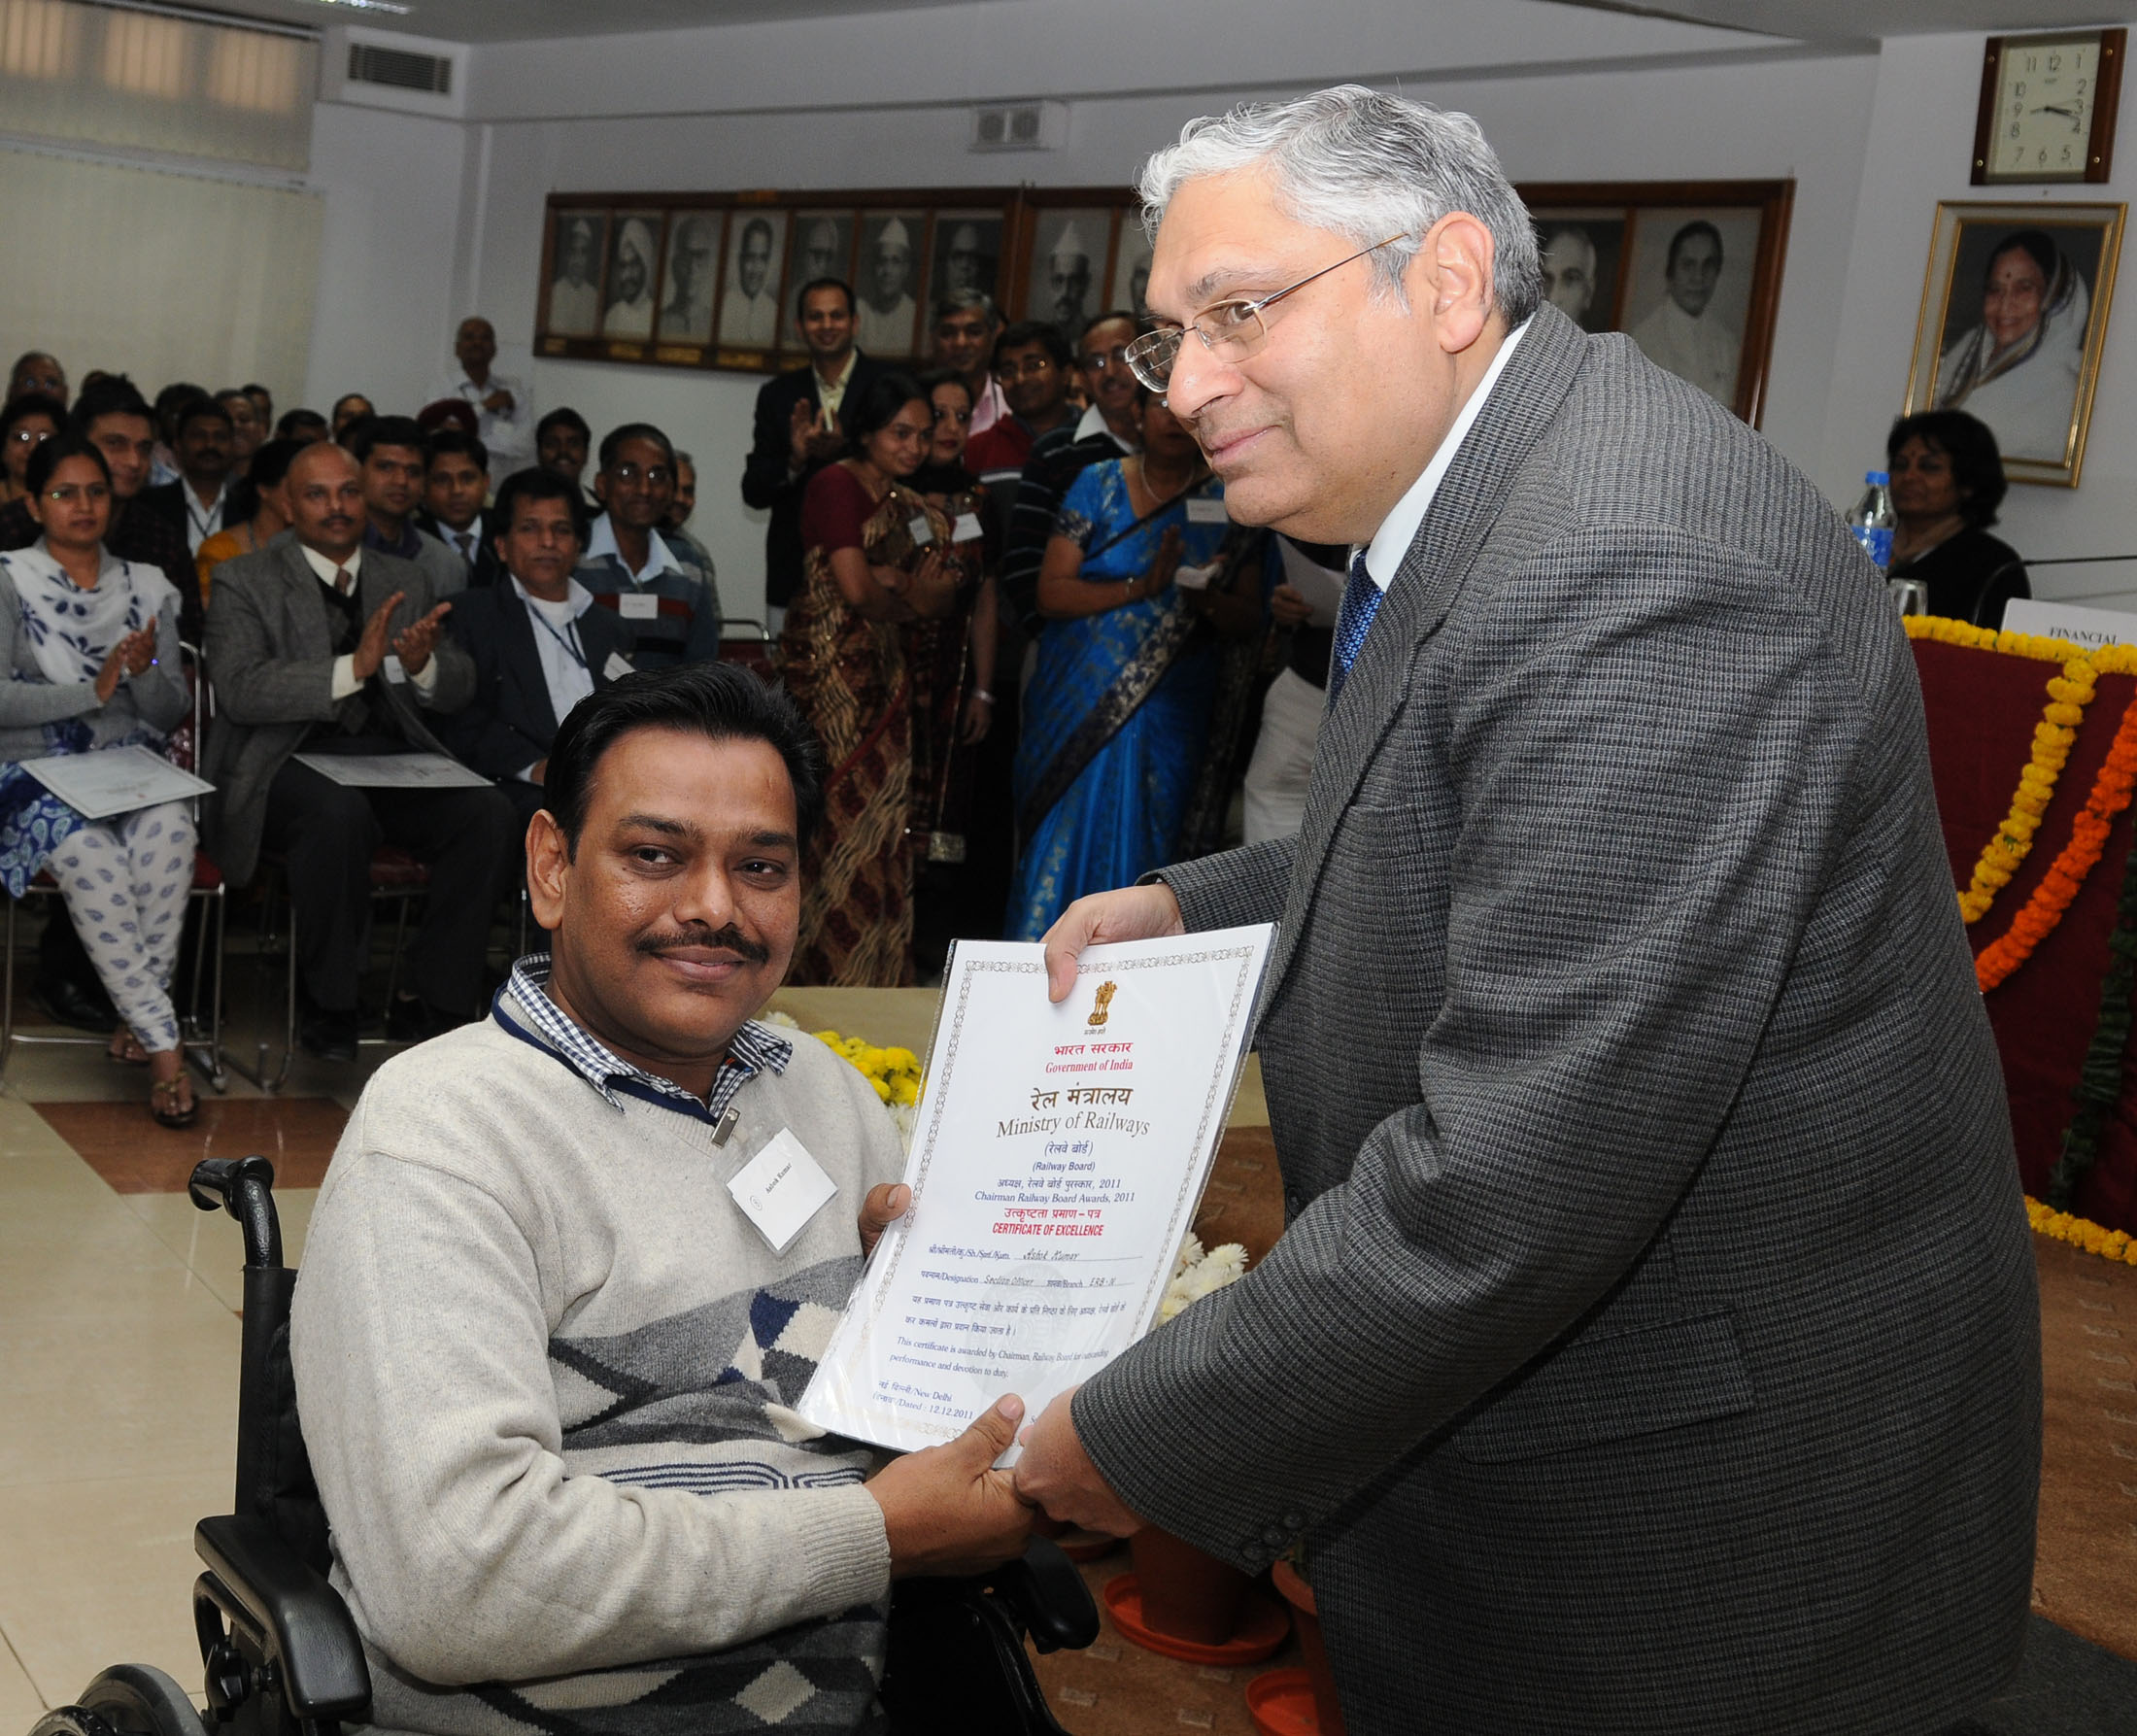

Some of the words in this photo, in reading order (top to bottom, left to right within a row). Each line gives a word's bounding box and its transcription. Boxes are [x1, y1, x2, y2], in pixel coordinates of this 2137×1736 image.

[1048, 1042, 1087, 1058] भारत
[1089, 1042, 1136, 1057] सरकार
[1041, 1058, 1100, 1075] Government
[1097, 1056, 1110, 1072] of
[1106, 1058, 1136, 1075] India
[1029, 1082, 1060, 1114] रेल
[1063, 1077, 1136, 1109] मंत्रालय
[994, 1109, 1062, 1141] Ministry
[1064, 1106, 1085, 1134] of
[1081, 1108, 1153, 1141] Railways
[1045, 1138, 1069, 1158] रेलवे
[1069, 1138, 1093, 1157] बोर्ड
[1031, 1160, 1068, 1174] (Railway
[1067, 1159, 1095, 1173] Board)
[993, 1176, 1024, 1190] अध्यक्ष,
[1024, 1174, 1046, 1190] रेलवे
[1043, 1174, 1066, 1191] बोर्ड
[1061, 1177, 1095, 1194] पुरस्कार
[1097, 1176, 1124, 1192] 2011
[972, 1188, 1017, 1203] Chairman
[1014, 1190, 1052, 1208] Railway
[1048, 1190, 1081, 1207] Board
[1078, 1192, 1114, 1207] Awards,
[1000, 1204, 1050, 1224] उत्कृष्टता
[1047, 1208, 1079, 1221] प्रमाण
[1081, 1207, 1102, 1221] पत्र
[988, 1219, 1045, 1237] CERTIFICATE
[1040, 1220, 1057, 1237] OF
[1053, 1221, 1104, 1240] EXCELLENCE